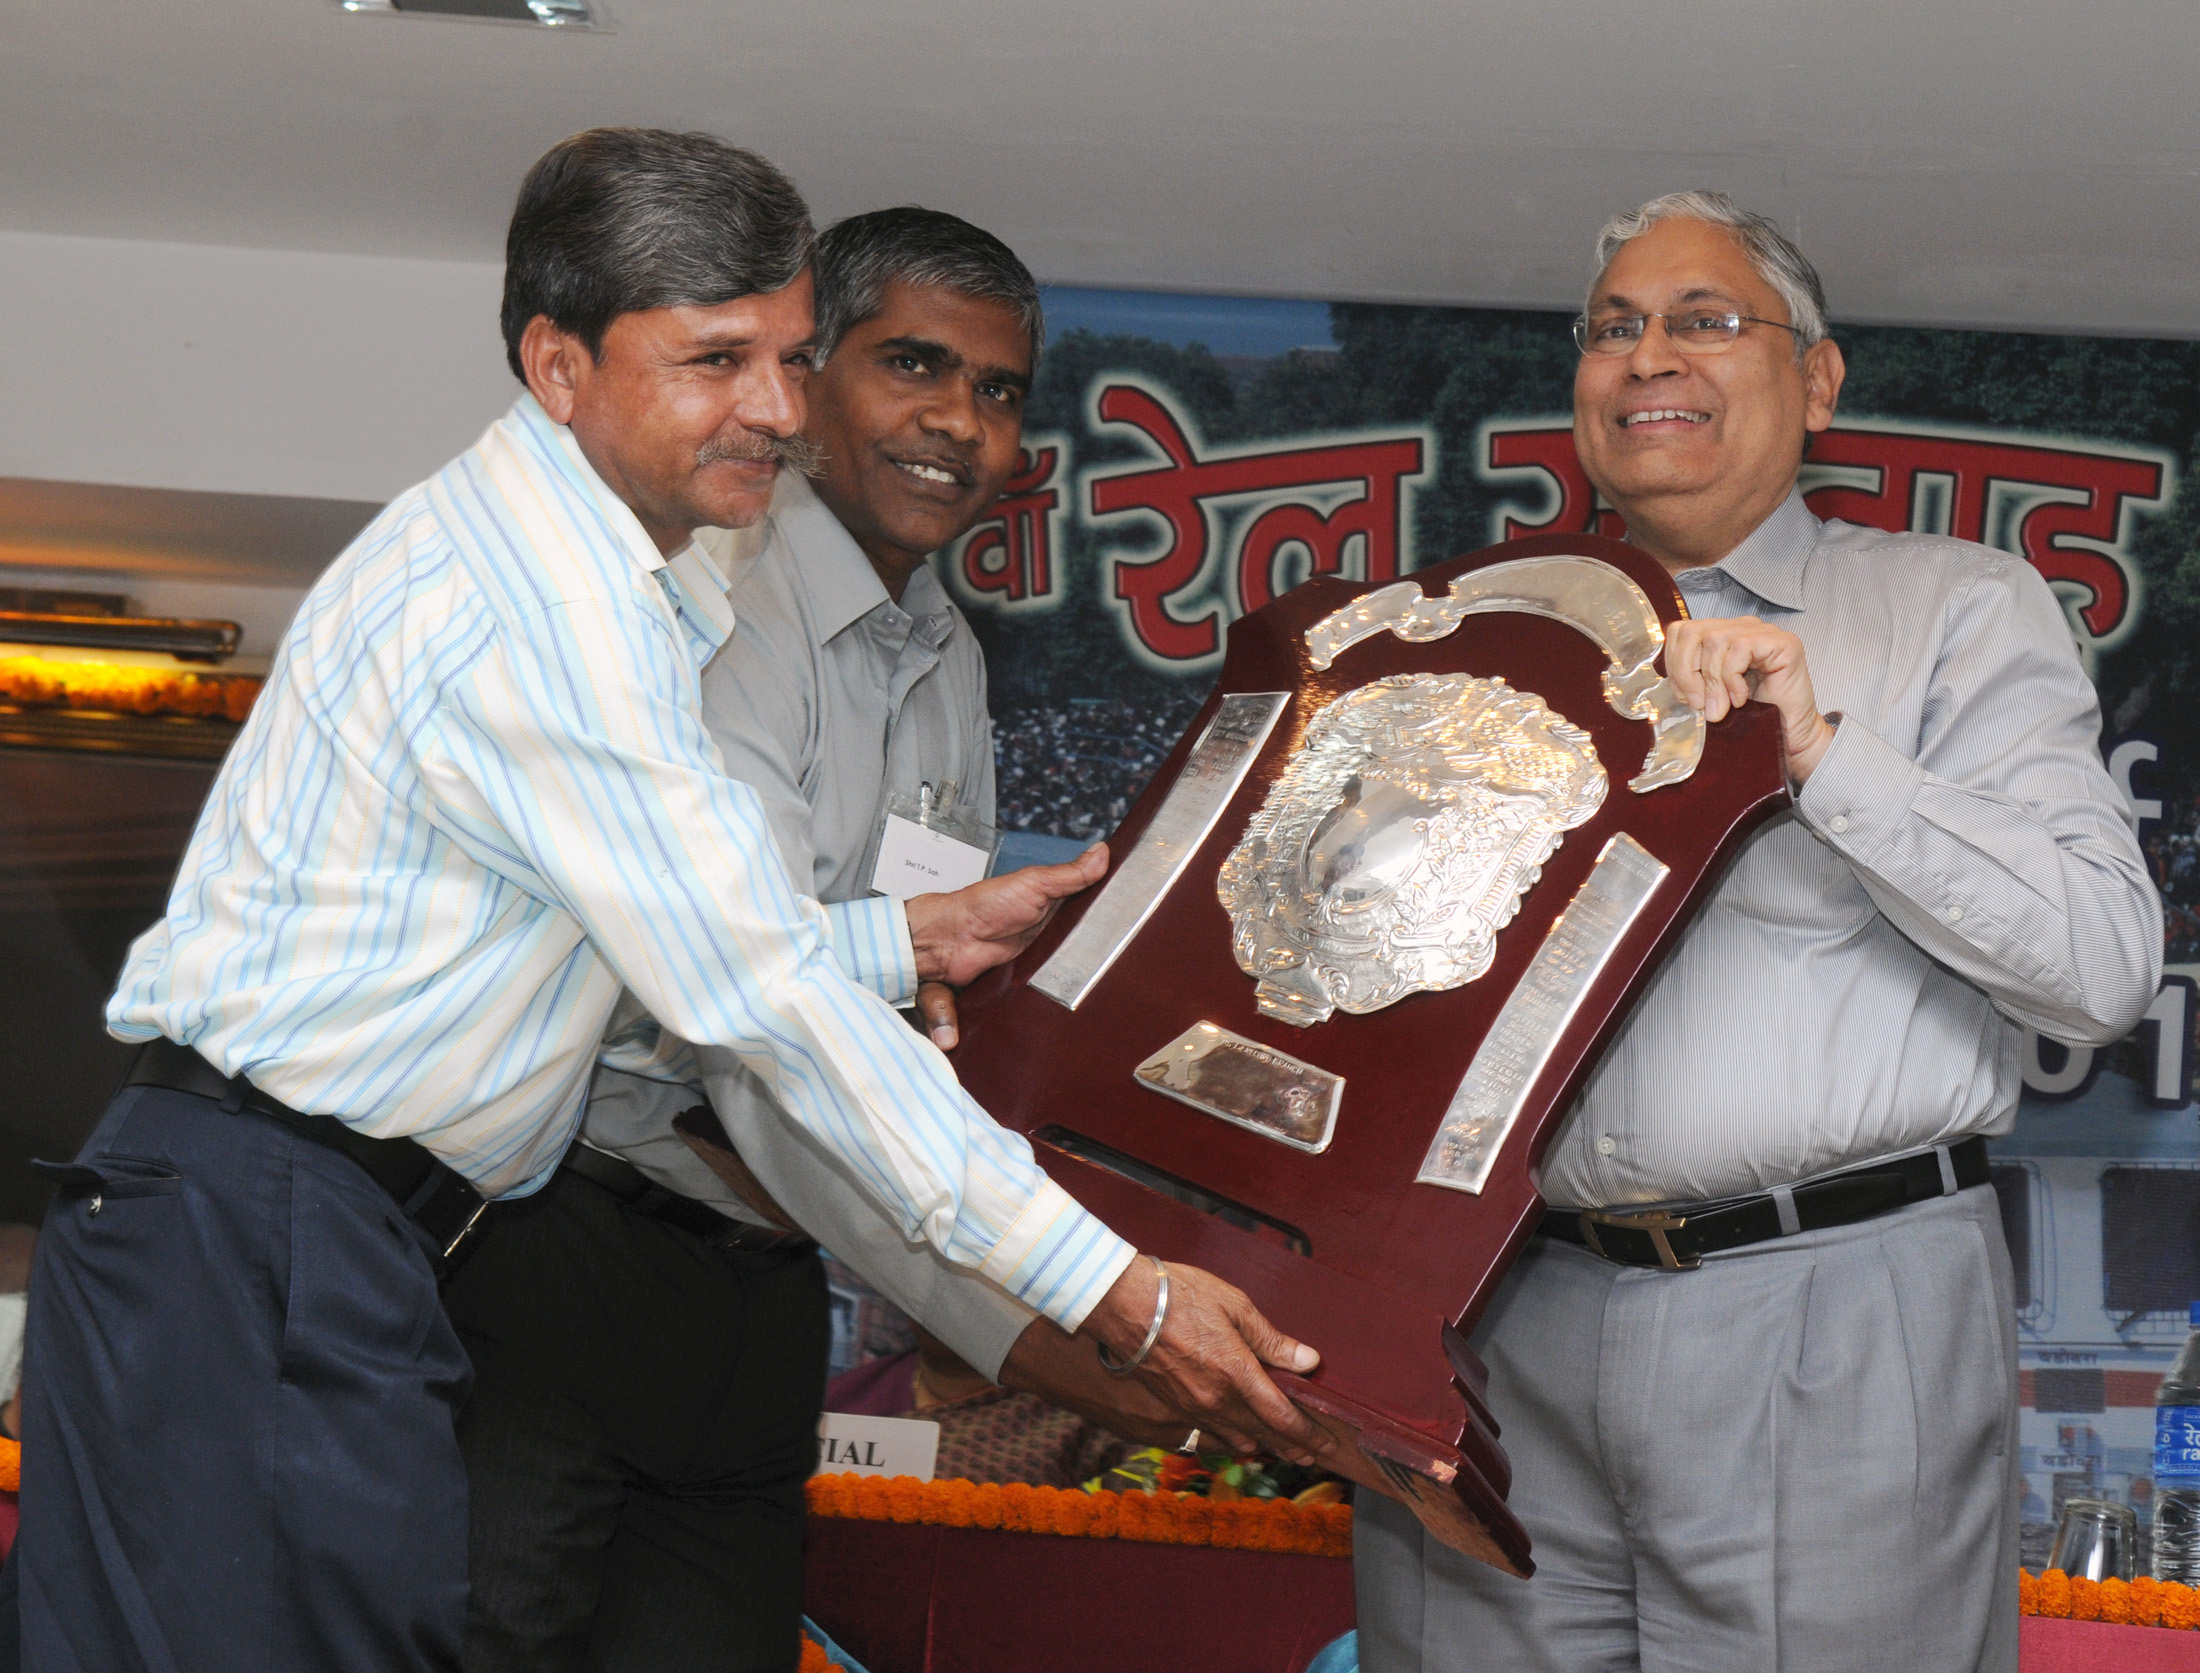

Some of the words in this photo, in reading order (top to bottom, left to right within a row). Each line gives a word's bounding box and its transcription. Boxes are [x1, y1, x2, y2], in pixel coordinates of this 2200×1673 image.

[1047, 373, 1450, 691] रेल